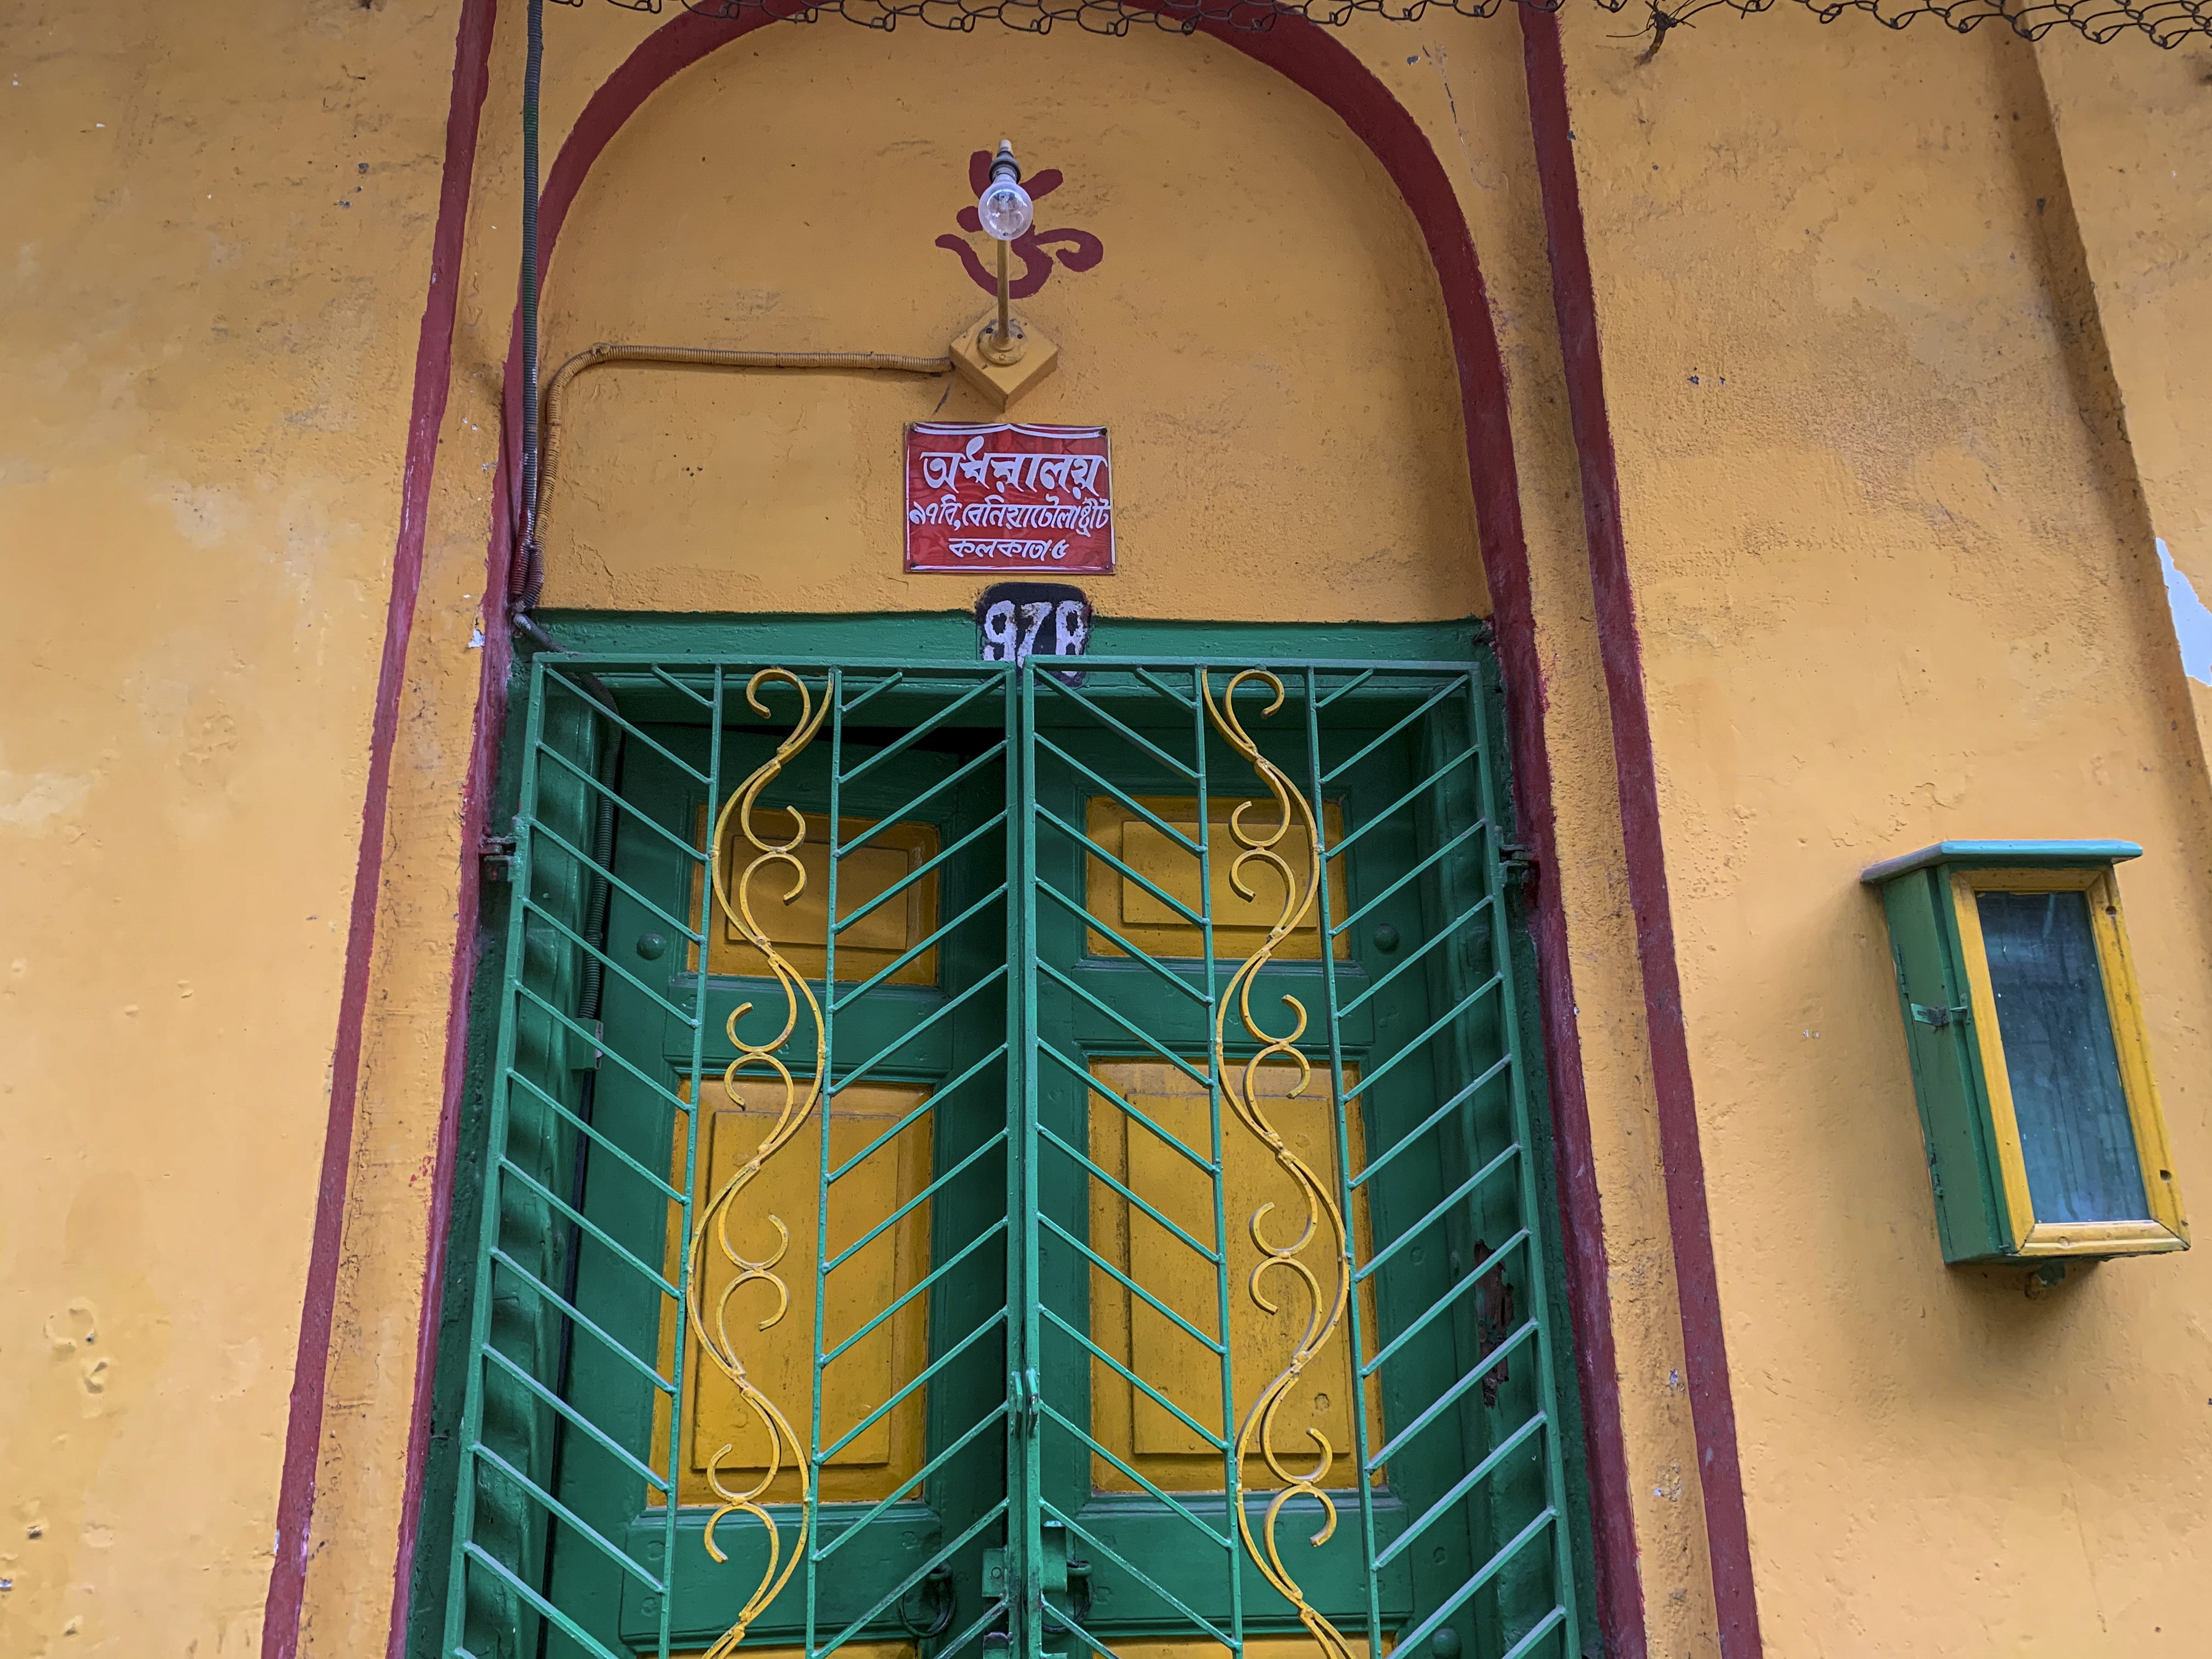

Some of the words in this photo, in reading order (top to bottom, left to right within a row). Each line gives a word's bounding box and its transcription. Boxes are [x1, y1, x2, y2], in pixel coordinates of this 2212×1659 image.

[906, 427, 1117, 508] অধরালয়
[902, 486, 1119, 542] ৯৭ বি, বেনিয়াটোলা স্ট্রীট
[944, 533, 1074, 568] কলকাজ৫